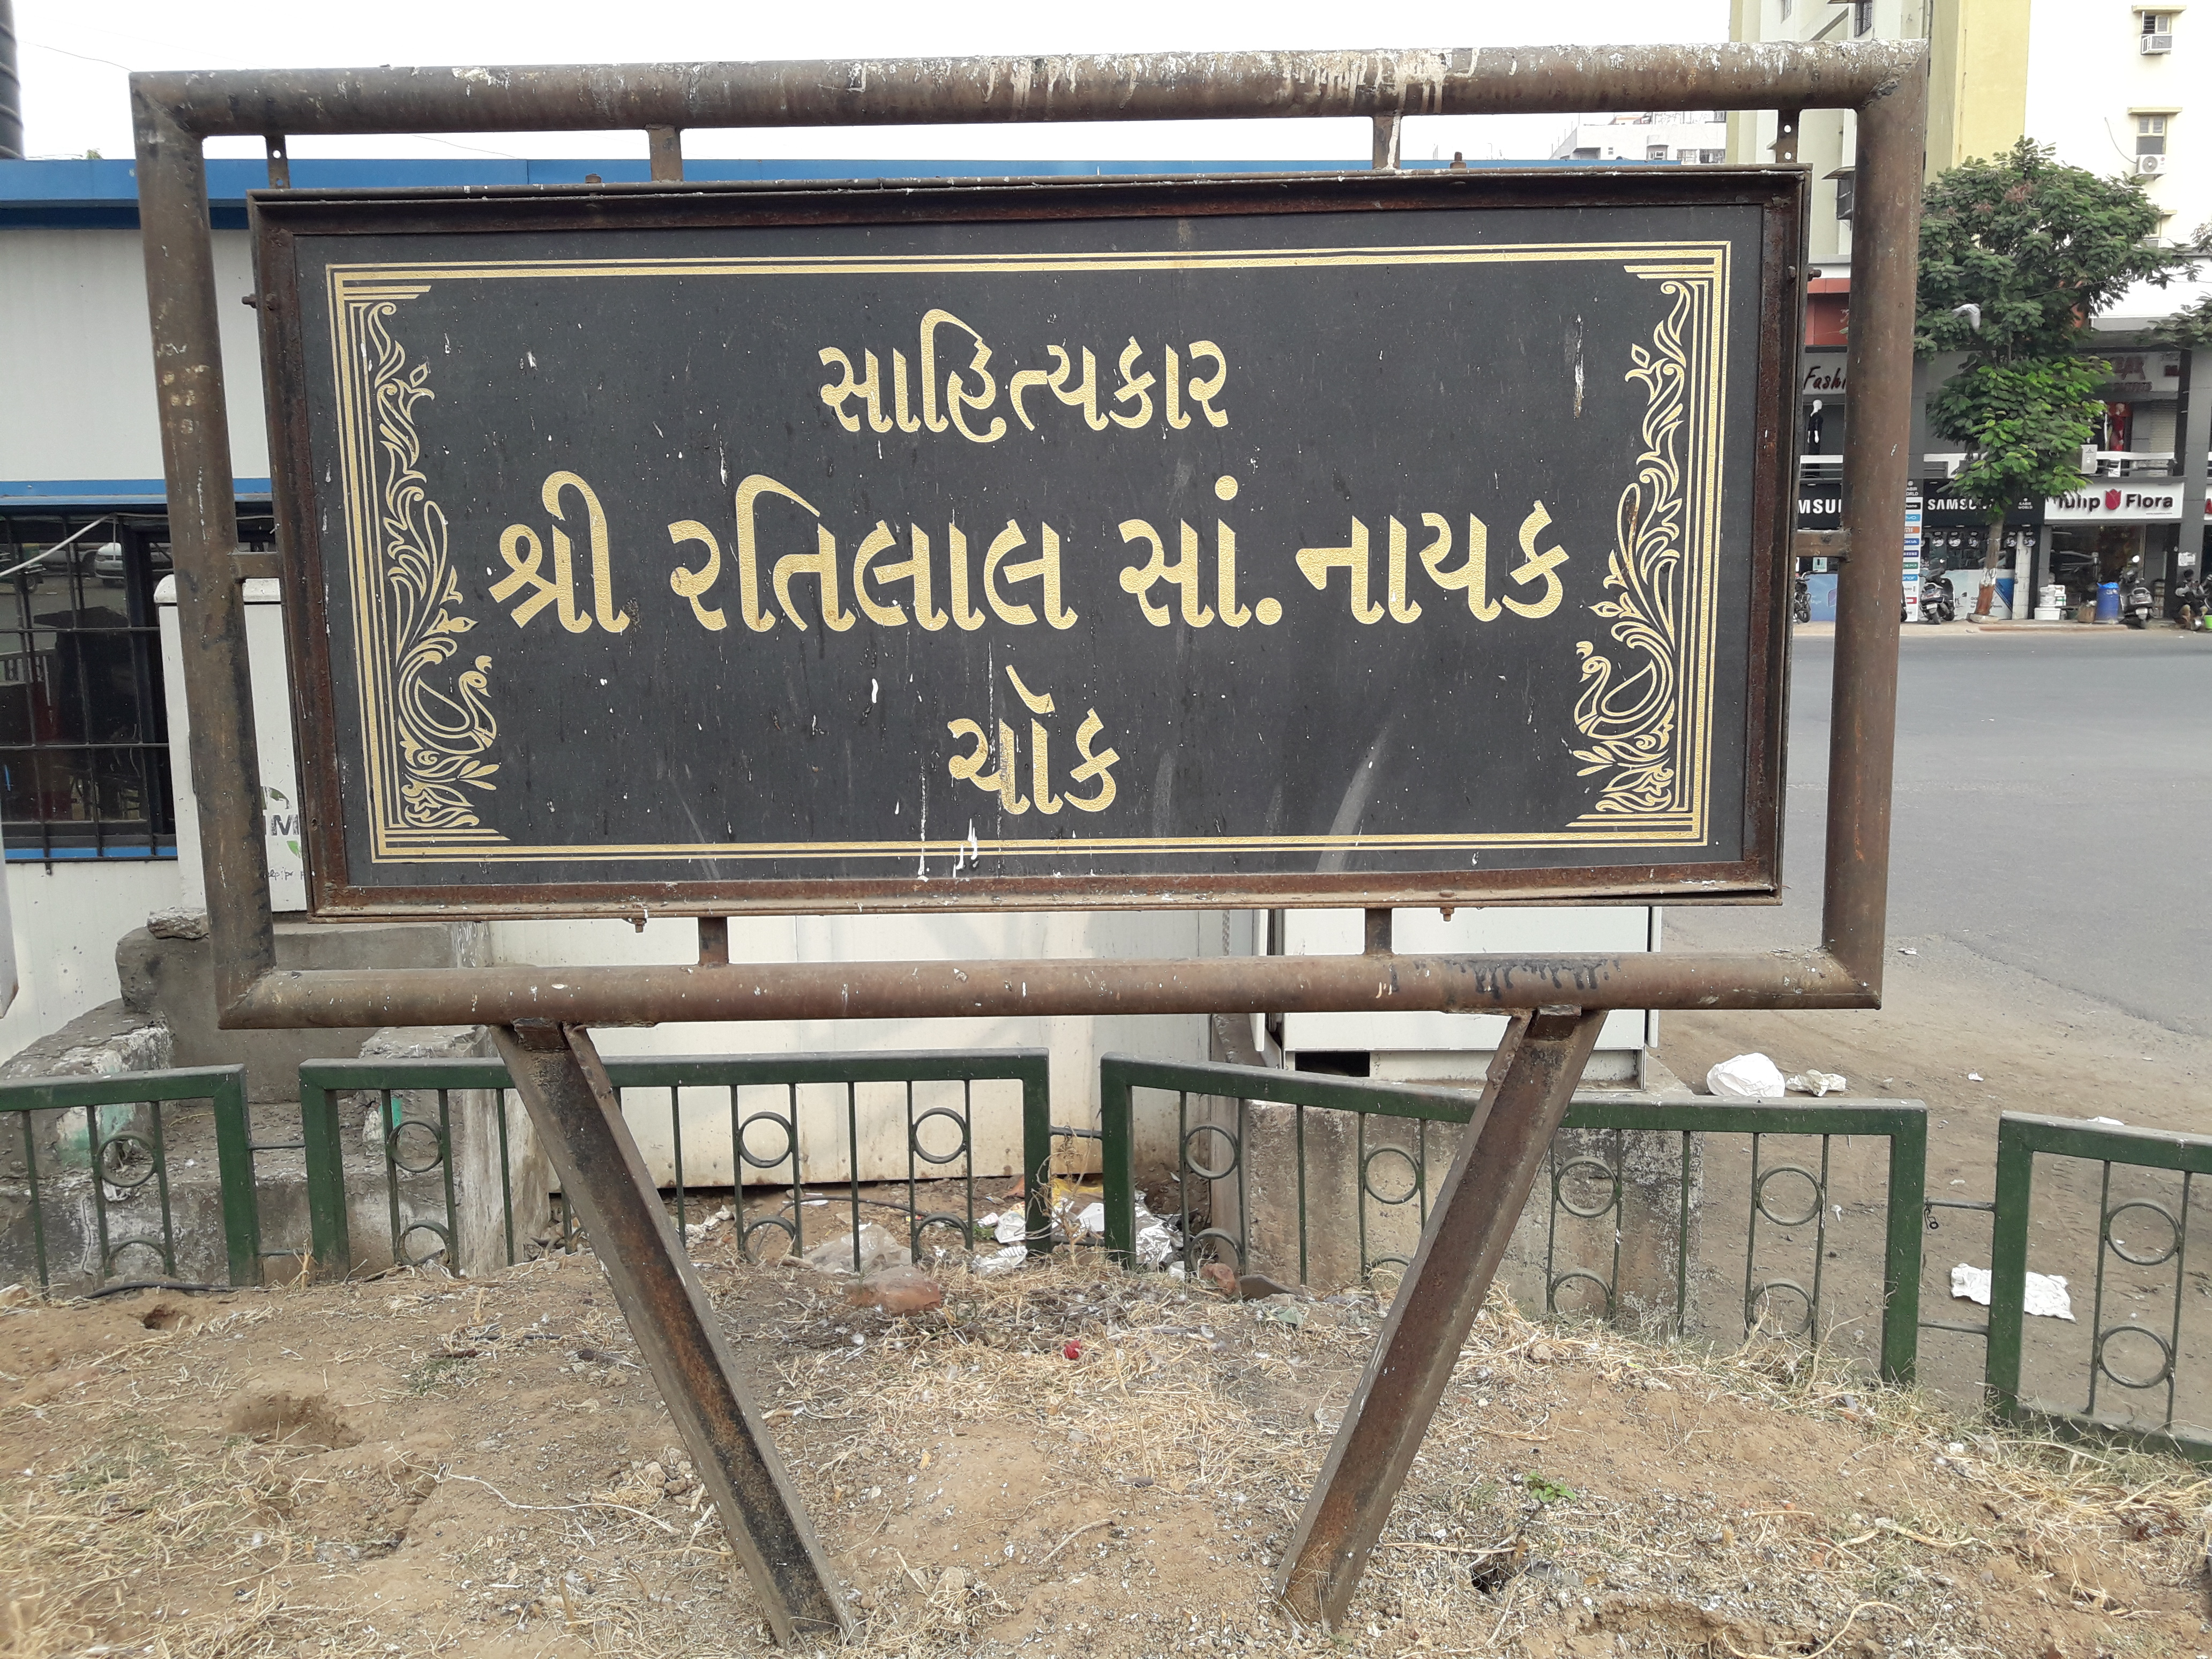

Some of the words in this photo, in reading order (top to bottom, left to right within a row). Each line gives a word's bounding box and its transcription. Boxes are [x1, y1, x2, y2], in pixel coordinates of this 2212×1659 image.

[791, 300, 1250, 466] સાહિત્યકાર
[1803, 362, 1847, 393] Fashi
[466, 449, 647, 654] શ્રી
[655, 472, 1100, 654] રતિલાલ
[1108, 467, 1290, 652] સાં.
[1289, 489, 1579, 642] નાયક
[1798, 495, 1836, 518] MSU
[1925, 492, 1969, 512] SAMS
[2053, 488, 2103, 517] Tulip
[2119, 489, 2177, 512] Flora
[923, 663, 1133, 834] ચૉક